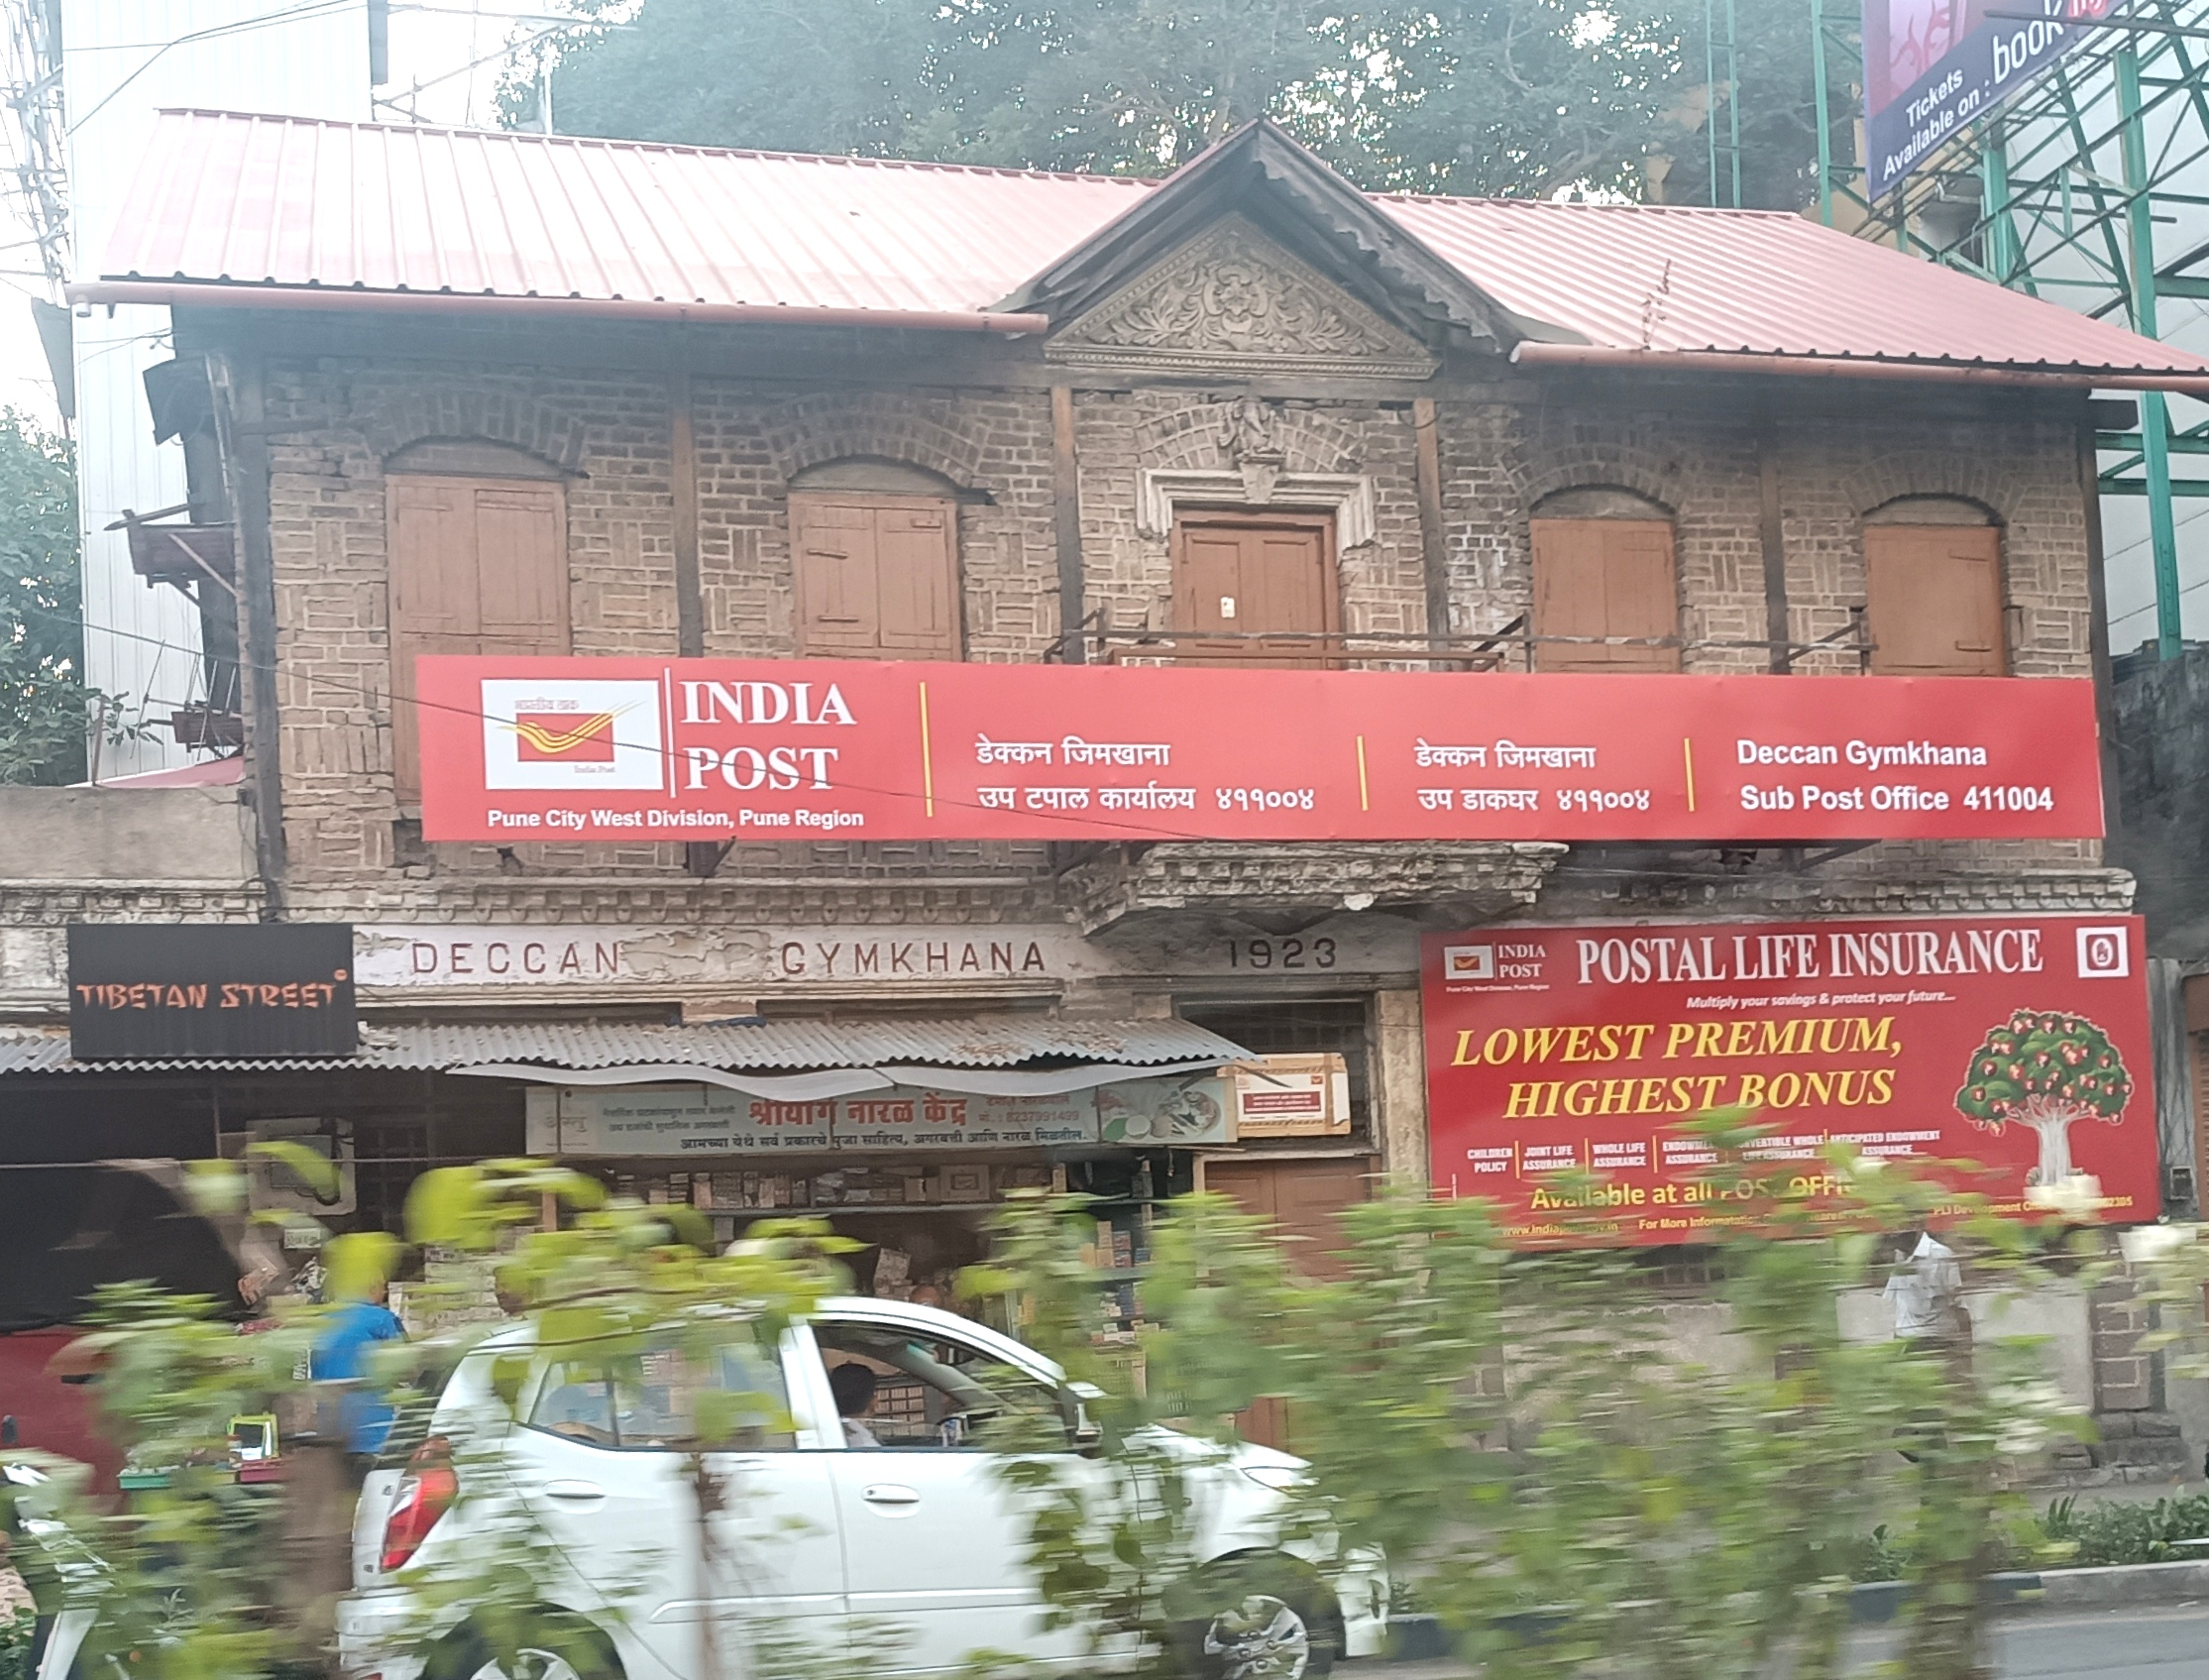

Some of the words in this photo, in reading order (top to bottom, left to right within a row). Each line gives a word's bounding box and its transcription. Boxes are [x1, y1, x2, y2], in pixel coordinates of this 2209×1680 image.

[1900, 56, 1971, 135] Tickets
[1952, 70, 1995, 123] on:
[1880, 102, 1957, 189] Available
[675, 673, 874, 732] INDIA
[679, 741, 855, 798] POST
[969, 727, 1058, 770] डेक्कन
[1055, 728, 1176, 772] जिमखाना
[1406, 730, 1491, 775] डेक्कन
[1490, 731, 1604, 774] जिमखाना
[1733, 731, 1843, 771] Deccan
[1843, 735, 1995, 779] Gymkhana
[485, 805, 544, 832] Pune
[544, 805, 589, 840] City
[588, 805, 646, 830] West
[645, 804, 736, 833] Division,
[736, 804, 794, 834] Pune
[792, 803, 872, 834] Region
[968, 782, 1024, 816] उप
[1020, 781, 1095, 816] टपाल
[1093, 774, 1201, 814] कार्यालय
[1207, 781, 1318, 820] ४११००४
[1408, 783, 1457, 818] उप
[1455, 784, 1544, 814] डाकघर
[1549, 782, 1654, 819] ४११००४
[1737, 780, 1799, 817] Sub
[1798, 780, 1867, 816] Post
[1866, 776, 1953, 818] Office
[1958, 780, 2060, 816] 411004
[406, 937, 626, 980] DECCAN
[777, 936, 1054, 979] GYMKHANA
[1221, 932, 1348, 974] 1923
[1496, 959, 1547, 983] POST
[1496, 938, 1553, 961] INDIA
[1571, 931, 1729, 989] POSTAL
[1724, 927, 1822, 986] LIFE
[1824, 920, 2057, 984] INSURANCE
[71, 978, 213, 1012] TIBETAN
[215, 978, 342, 1014] STREET
[1446, 1016, 1665, 1068] LOWEST
[1654, 1012, 1913, 1066] PREMIUM,
[841, 1094, 920, 1129] नारळ
[918, 1086, 972, 1128] केंद्र
[1496, 1071, 1731, 1125] HIGHEST
[1733, 1064, 1909, 1112] BONUS
[754, 1129, 782, 1153] सर्व
[780, 1126, 829, 1153] प्रकारचे
[826, 1131, 859, 1152] पुजा
[860, 1128, 914, 1151] साहित्य,
[912, 1126, 966, 1150] अगरबत्ती
[1523, 1179, 1648, 1212] Available
[1645, 1178, 1682, 1208] at